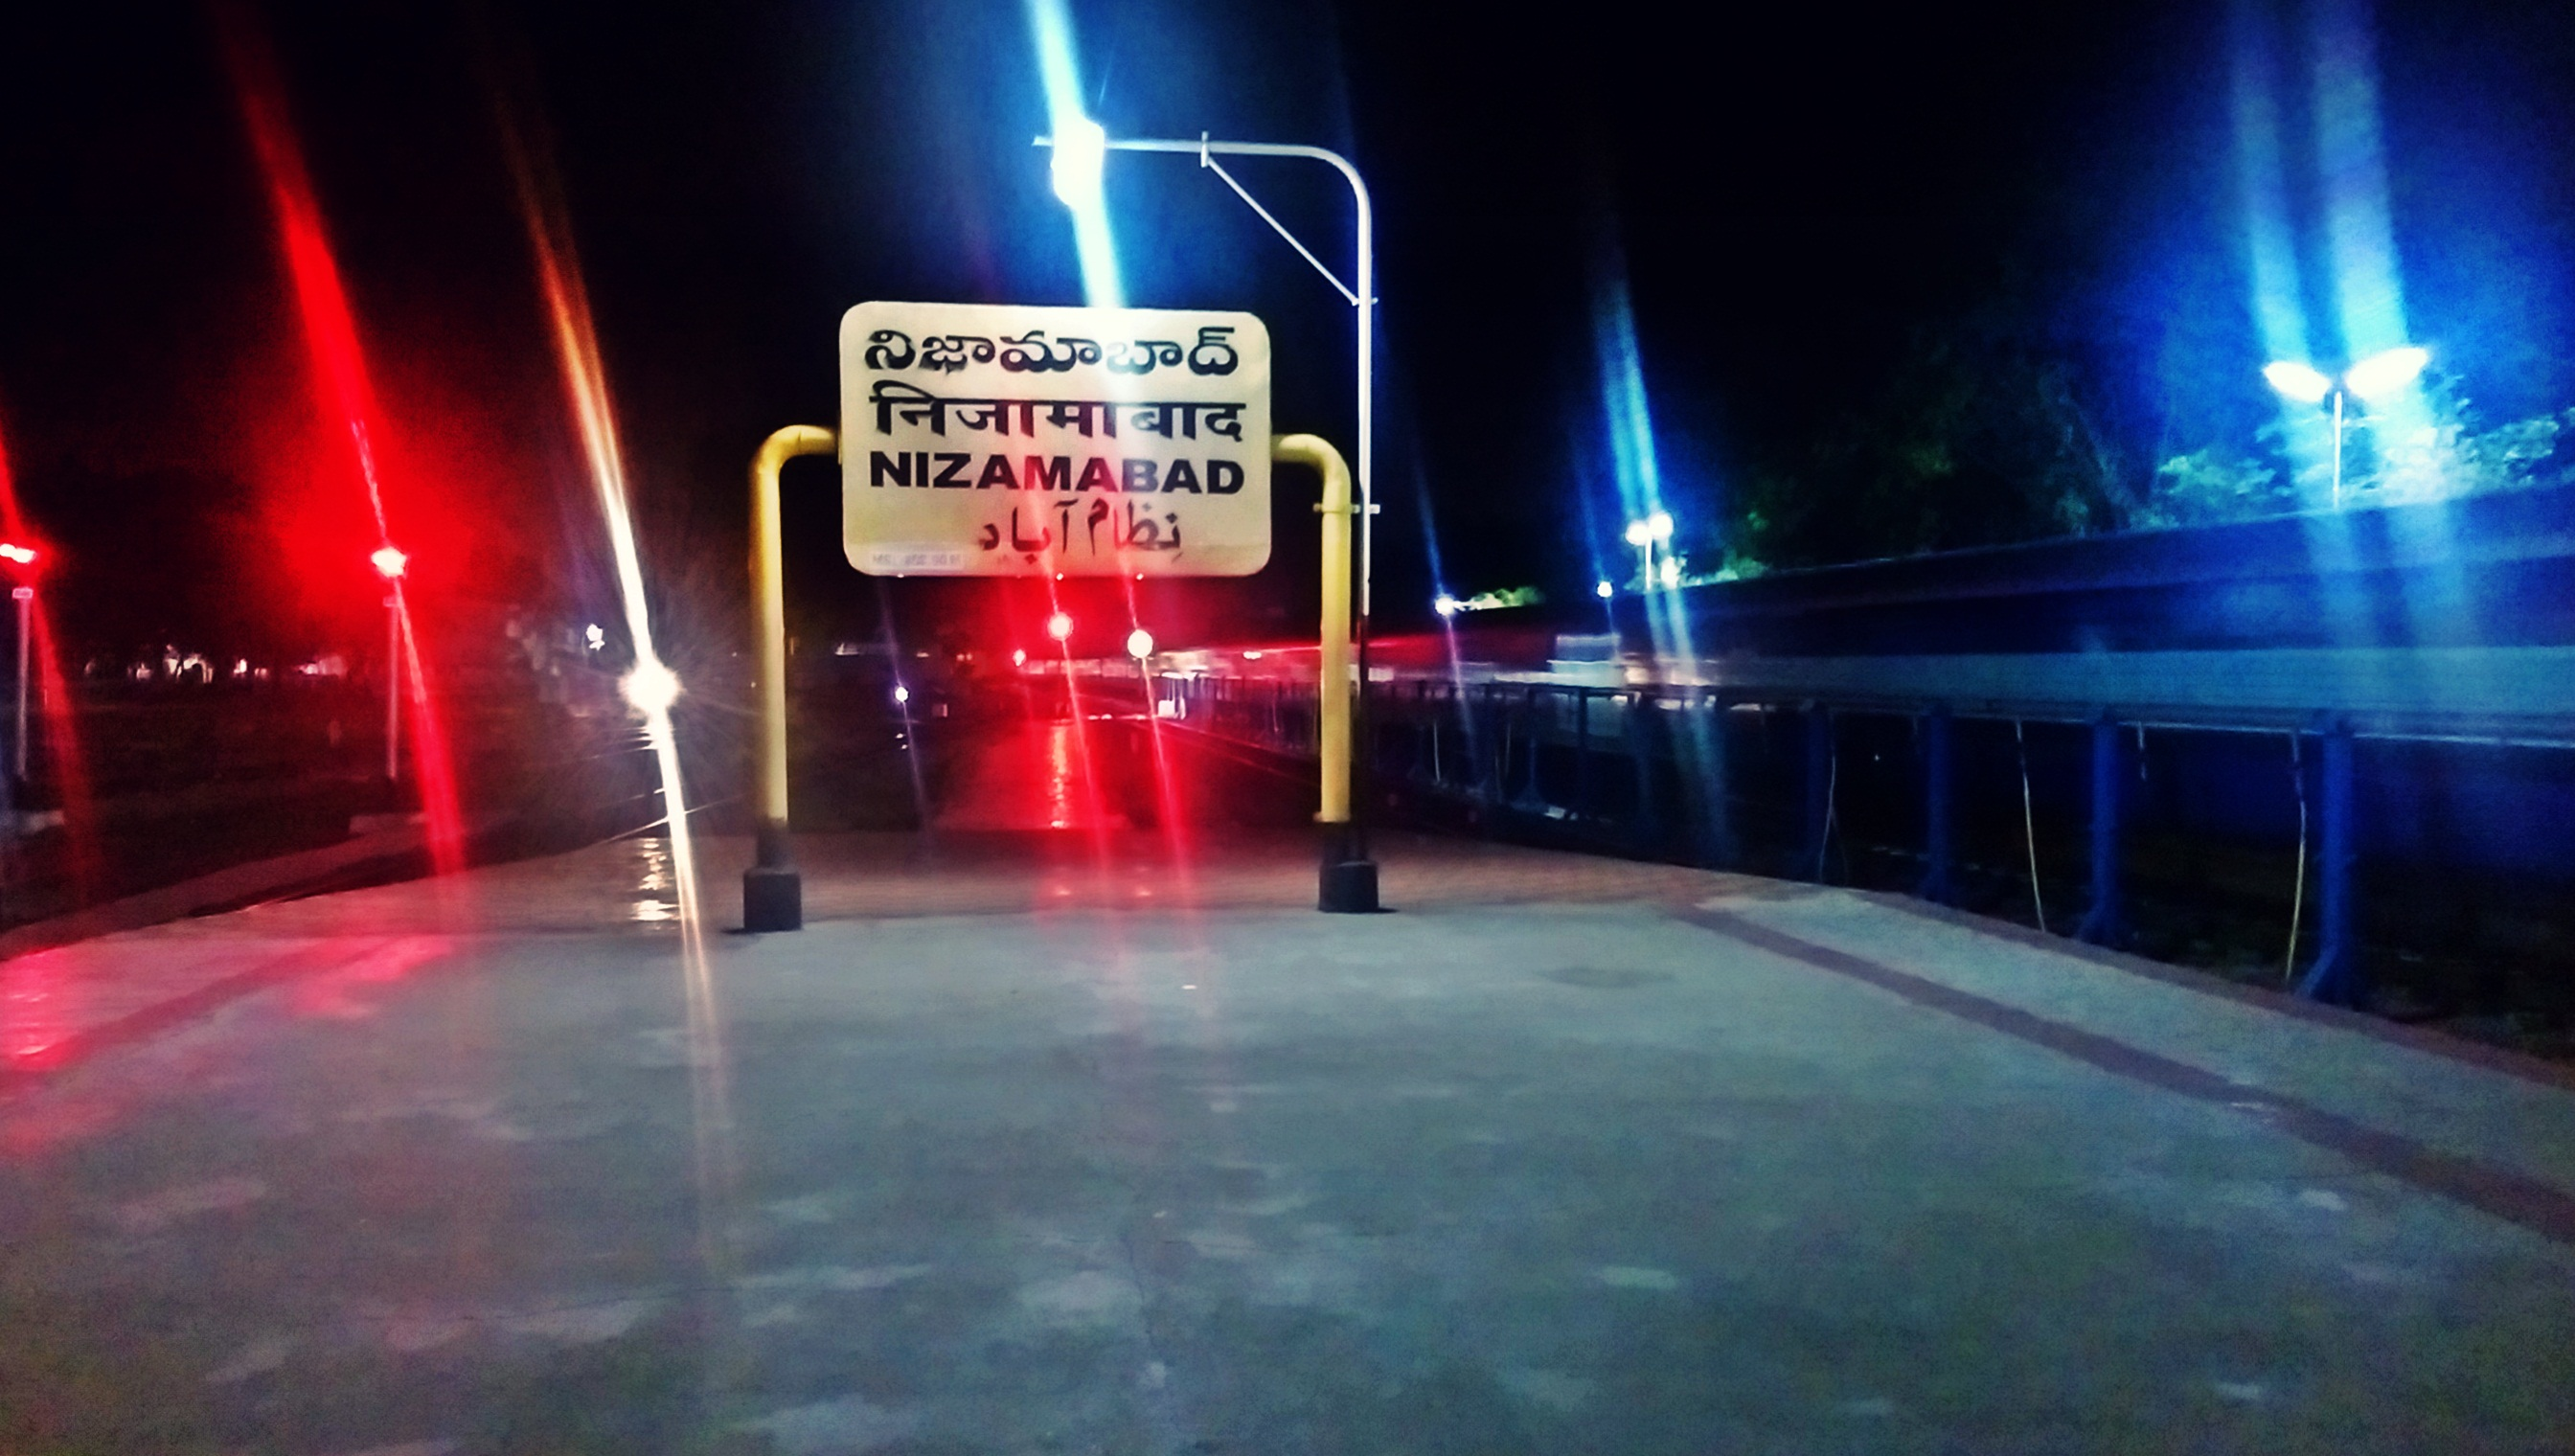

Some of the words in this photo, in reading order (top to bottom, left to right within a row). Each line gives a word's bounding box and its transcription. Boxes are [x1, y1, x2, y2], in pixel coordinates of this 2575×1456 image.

[851, 318, 1242, 384] నిజామాబాద్
[852, 367, 1258, 450] निजामाबाद
[865, 446, 1249, 500] NIZAMABAD
[976, 488, 1189, 573] نظام آباد